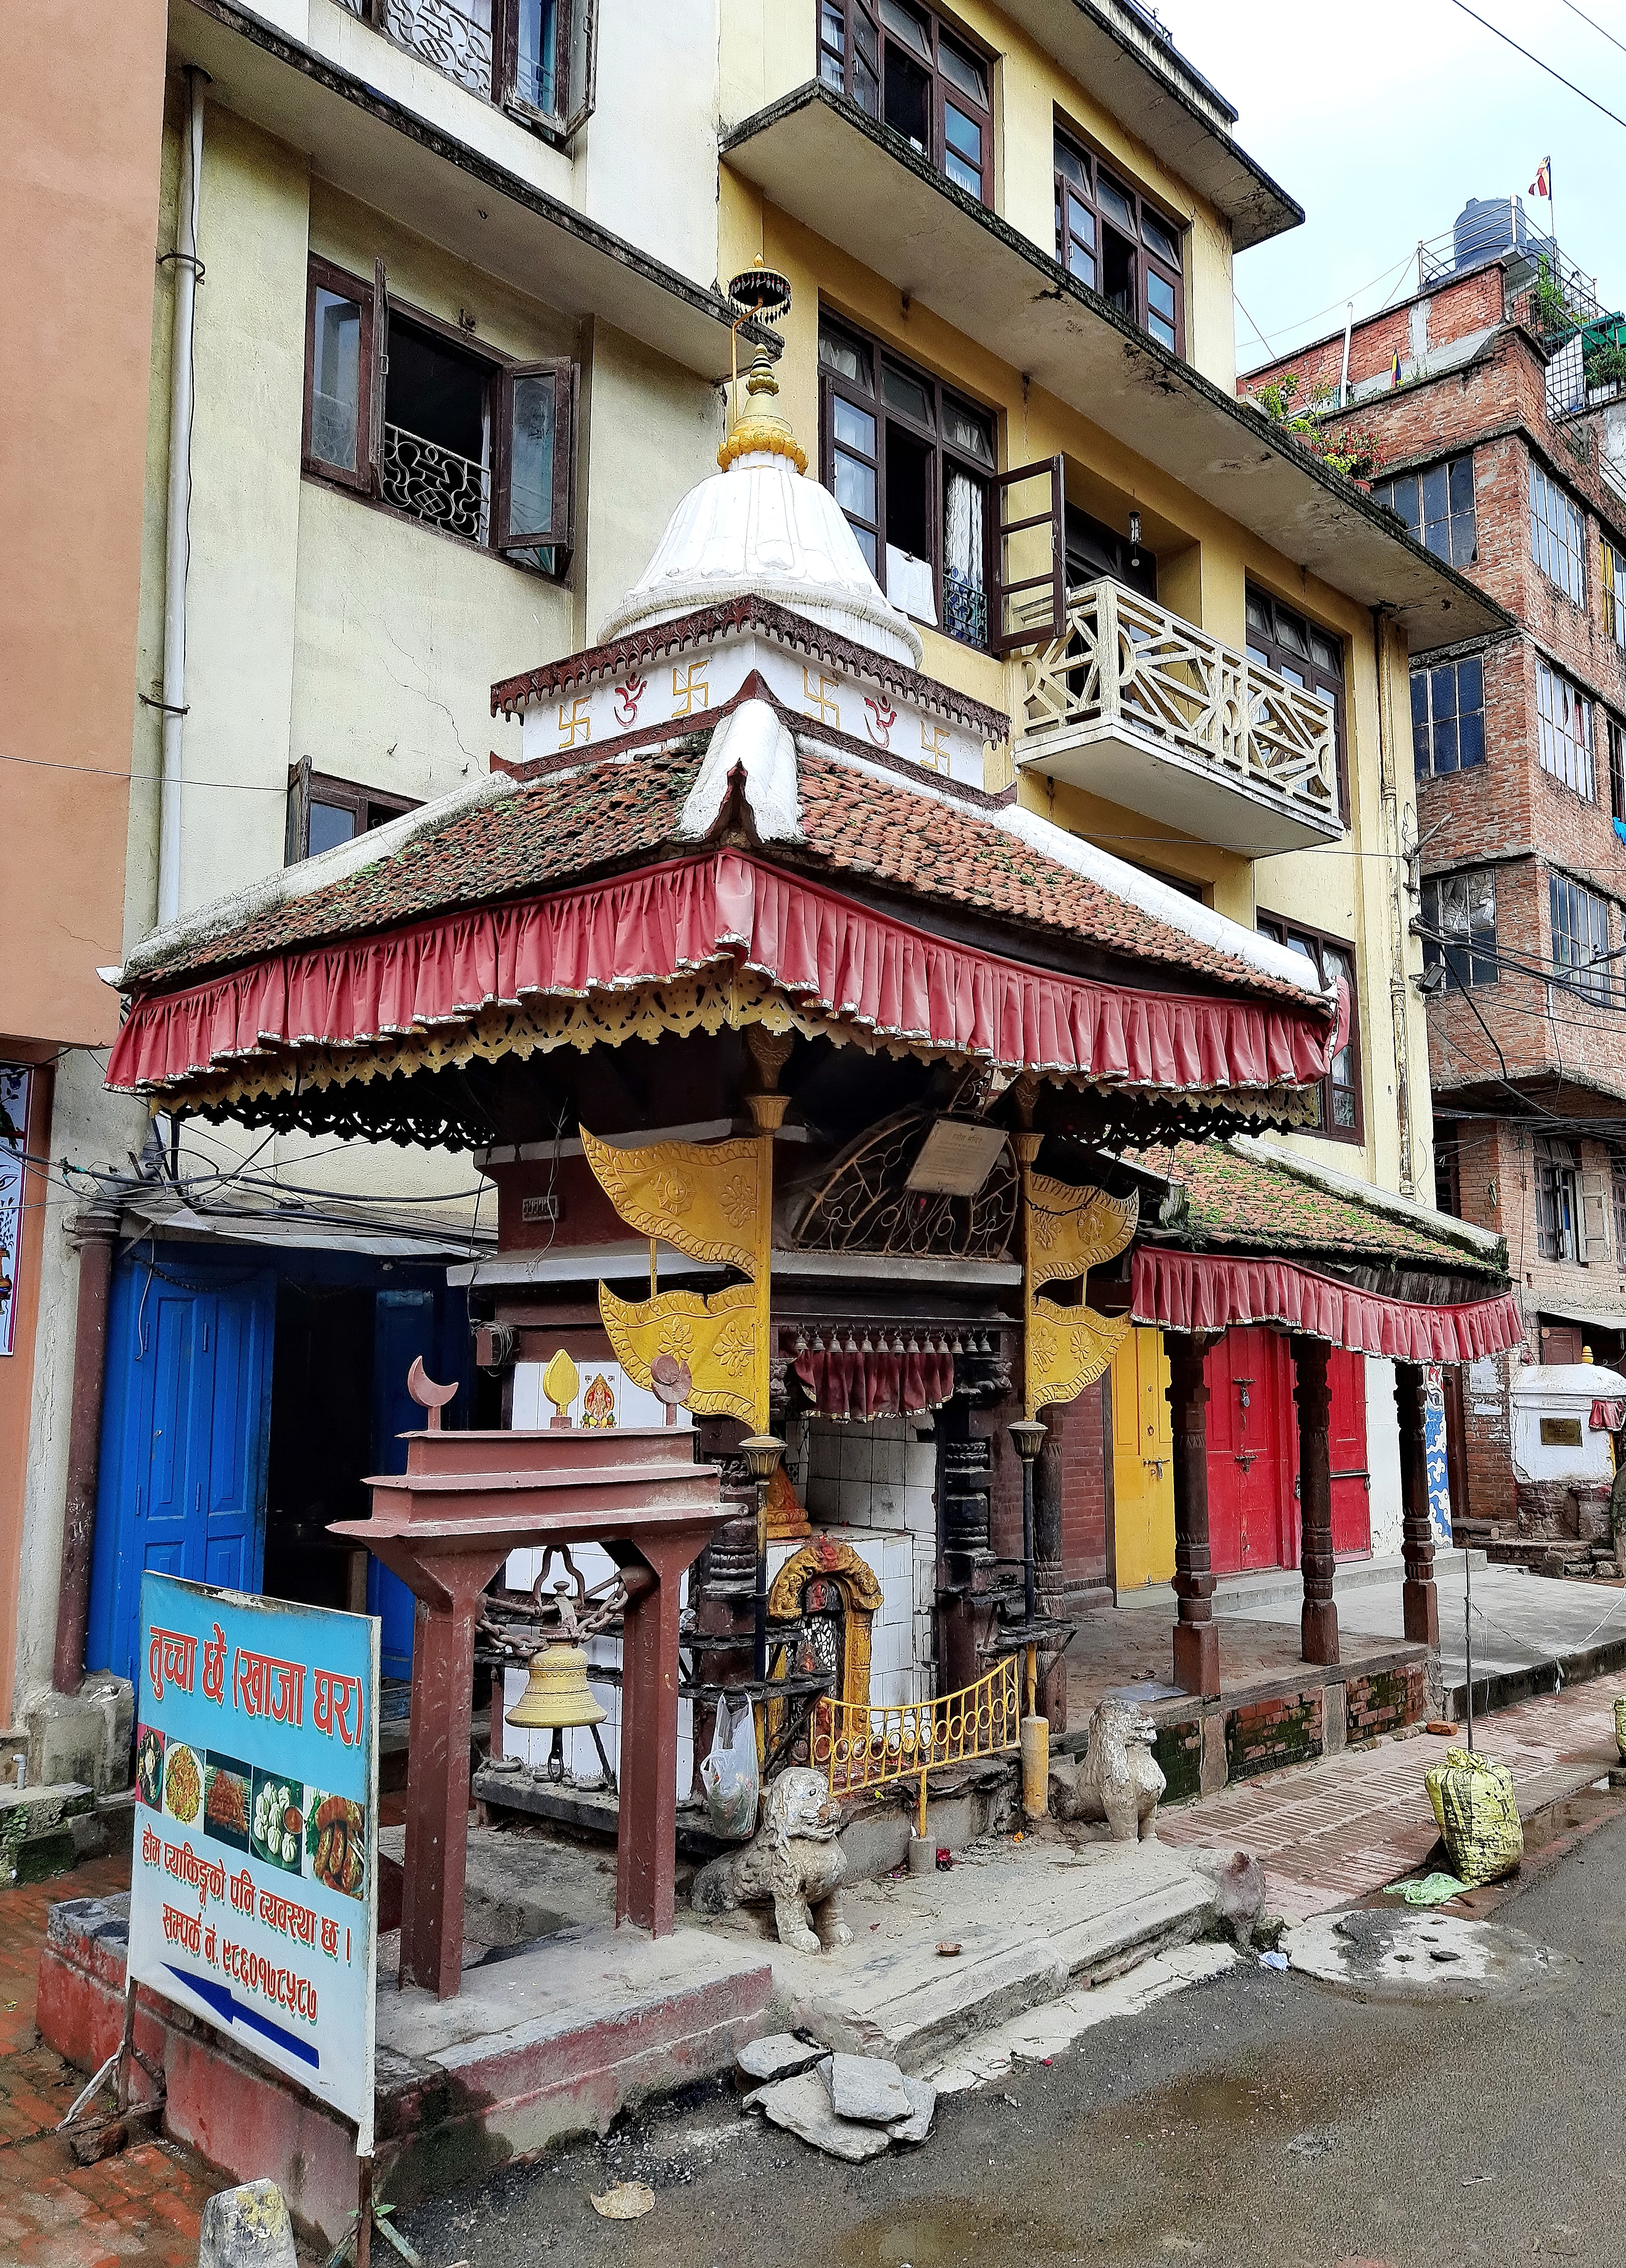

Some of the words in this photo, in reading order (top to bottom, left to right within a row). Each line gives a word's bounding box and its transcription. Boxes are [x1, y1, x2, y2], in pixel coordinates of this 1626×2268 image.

[609, 668, 652, 731] ૐ
[858, 691, 901, 750] ॐ
[143, 1623, 202, 1708] तुच्चा
[196, 1620, 232, 1713] છેં
[232, 1644, 311, 1737] ।खाजा
[308, 1664, 368, 1751] घर।
[139, 1820, 162, 1870] होम
[157, 1901, 207, 1959] सम्पर्क
[161, 1839, 228, 1911] प्याकिङ्गको
[202, 1920, 223, 1969] नं
[228, 1867, 257, 1921] पनि
[256, 1886, 320, 1954] व्यवस्था
[318, 1912, 344, 1966] छ
[219, 1937, 323, 2029] ९८६०१७८५८०